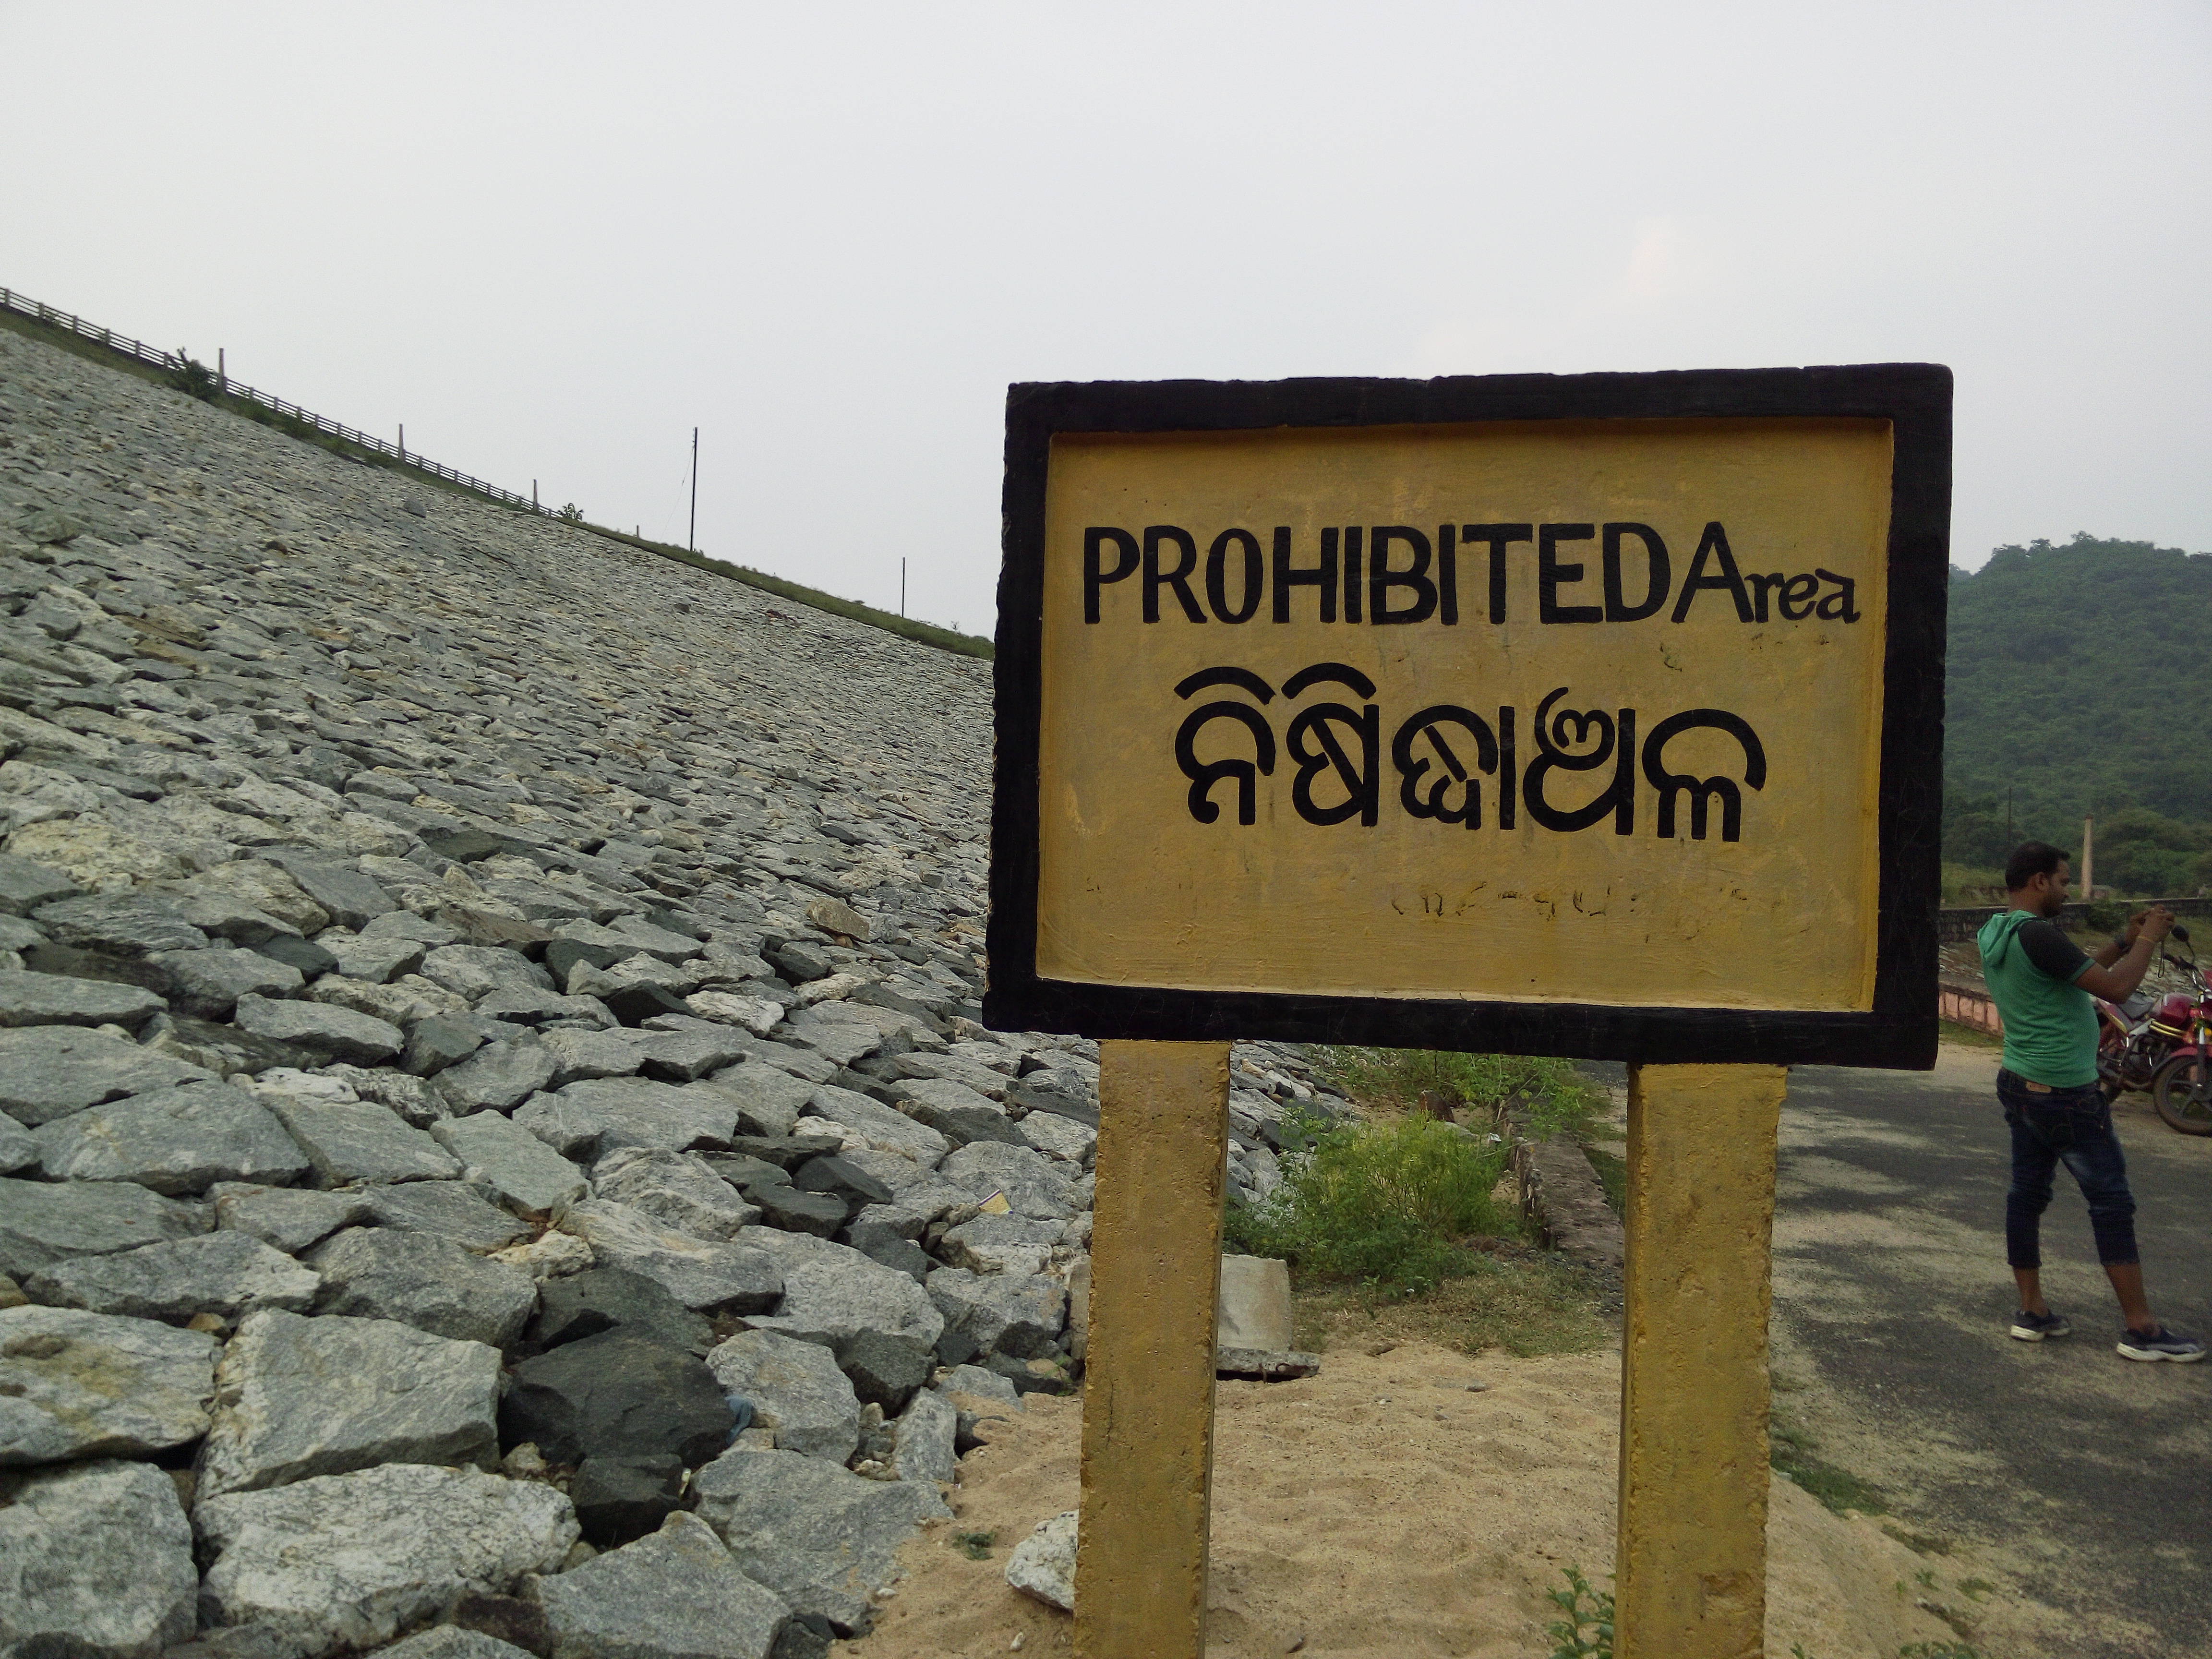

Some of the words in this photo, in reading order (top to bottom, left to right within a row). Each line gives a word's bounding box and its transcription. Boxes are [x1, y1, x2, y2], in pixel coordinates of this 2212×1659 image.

[1079, 509, 1678, 629] PROHIBITED
[1669, 514, 1866, 631] Area
[1166, 656, 1775, 844] ନିଷିଦ୍ଧାଞ୍ଚଳ